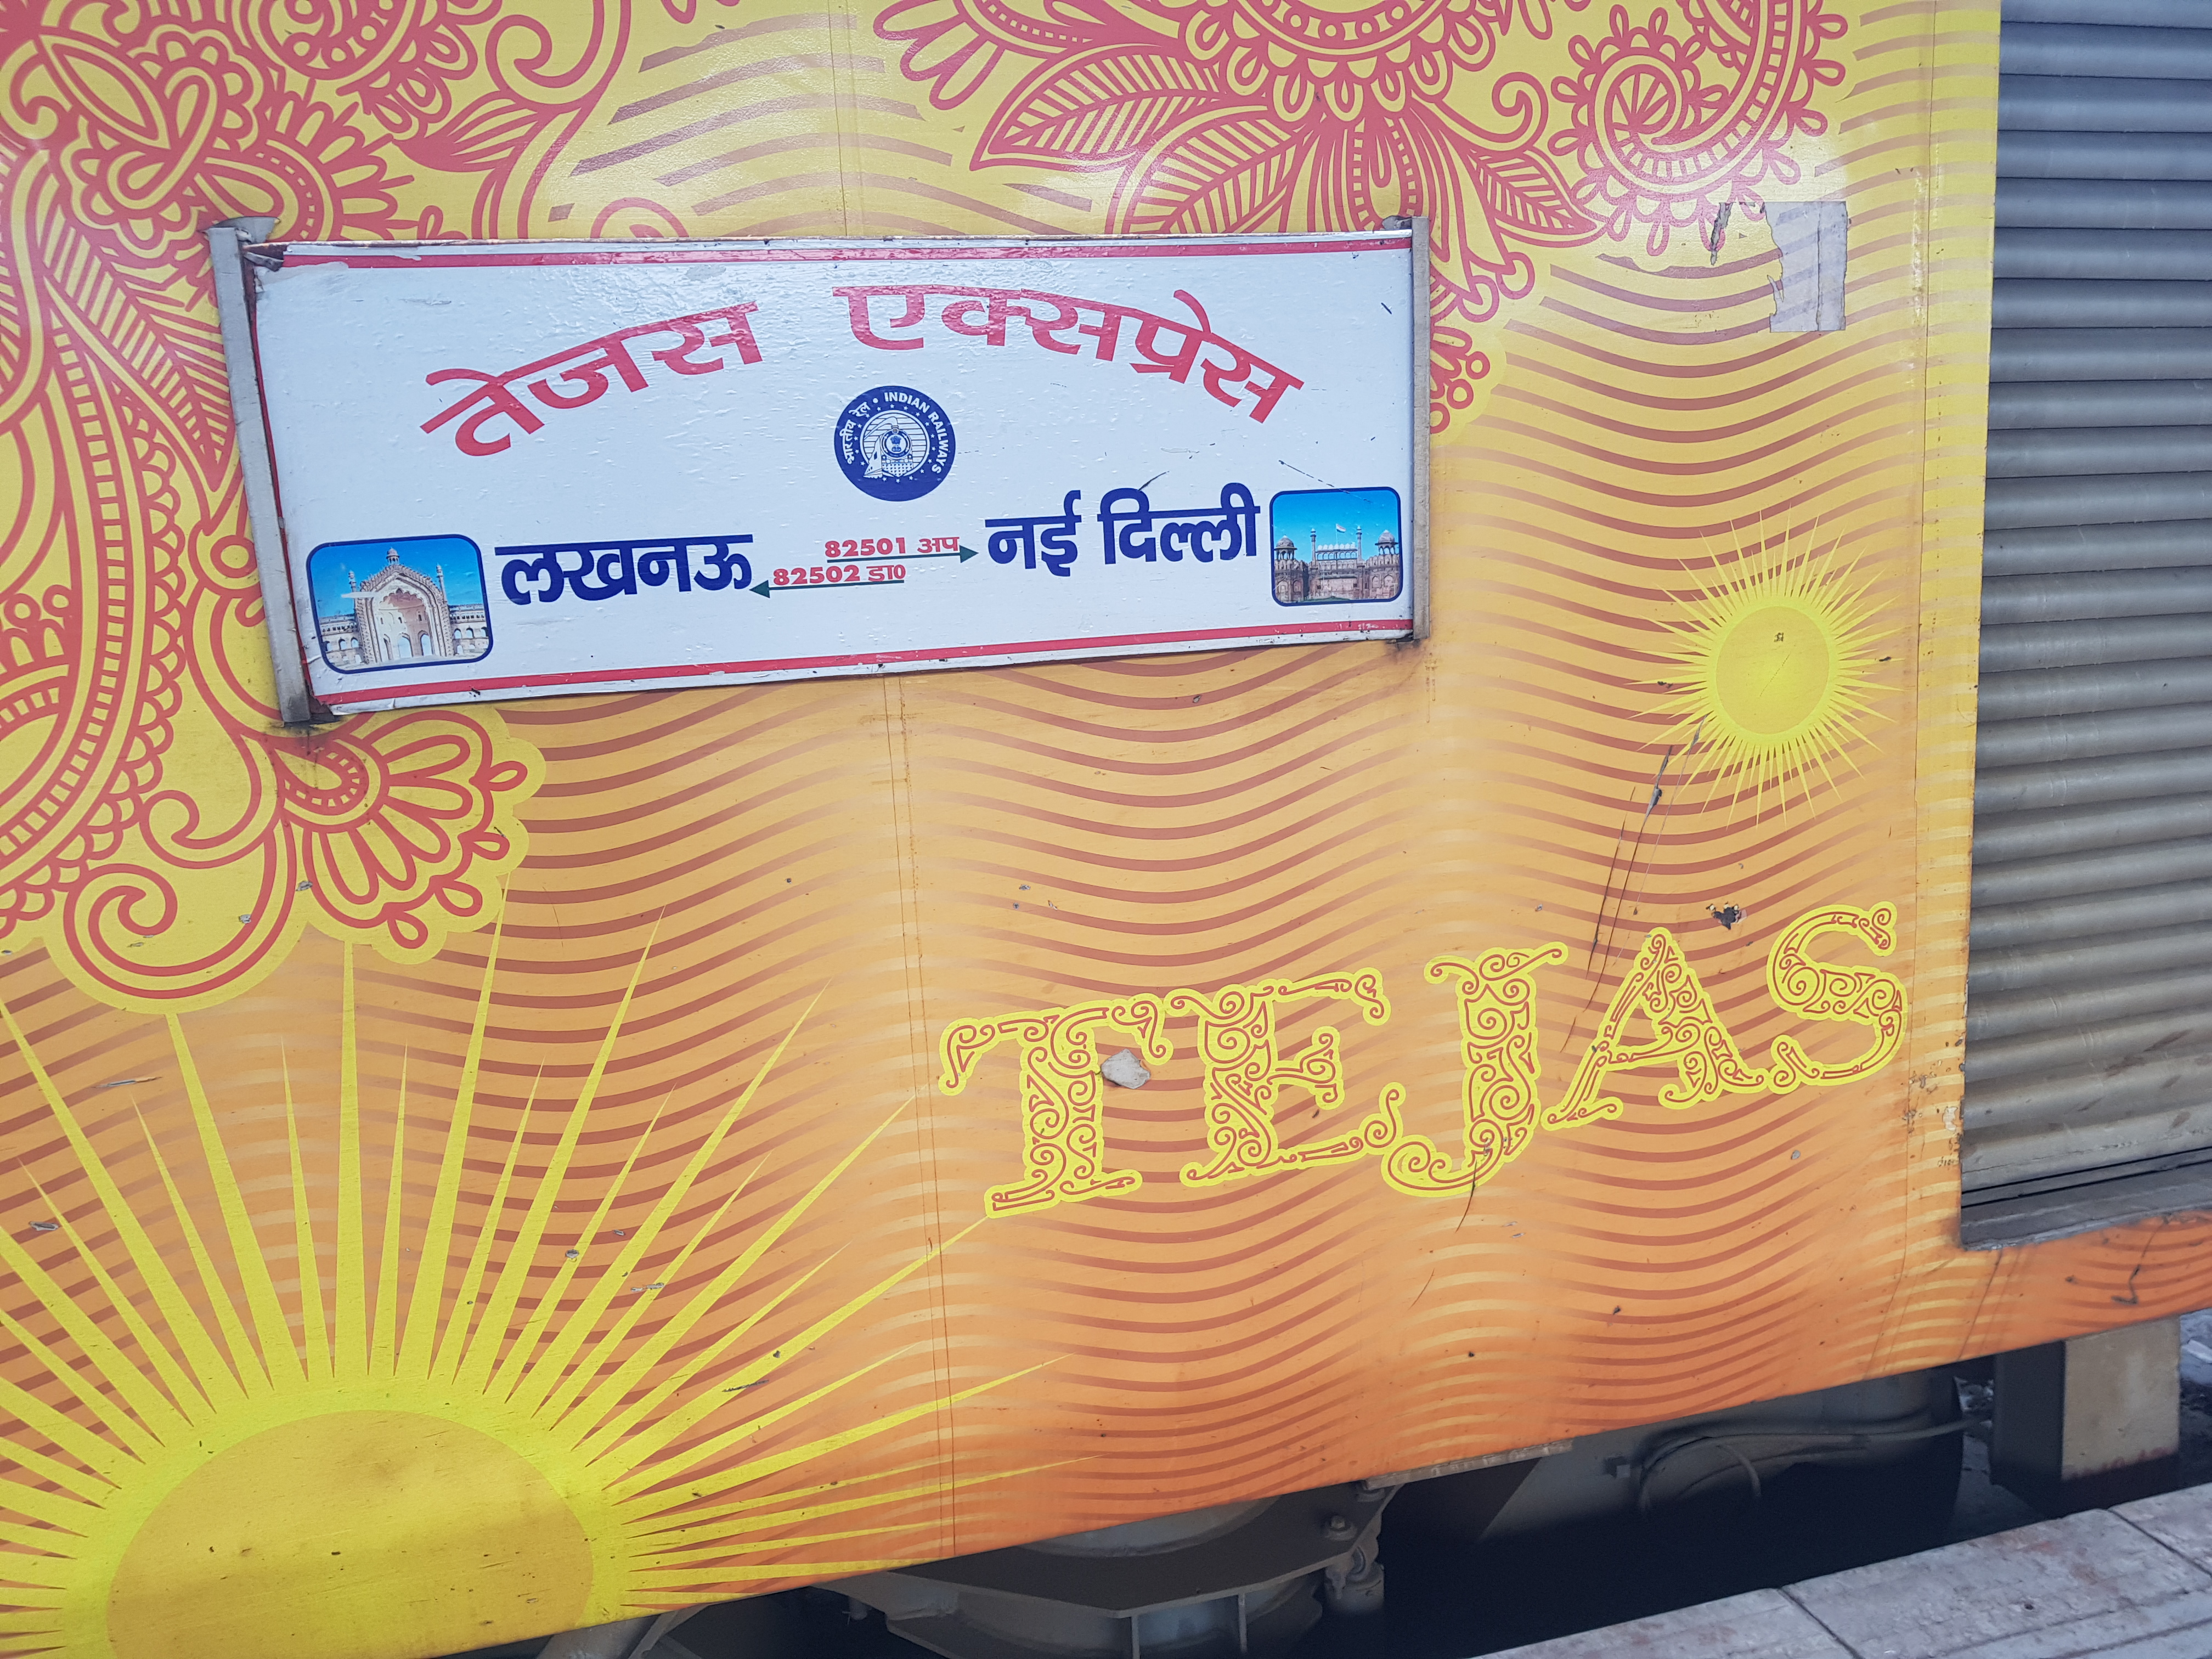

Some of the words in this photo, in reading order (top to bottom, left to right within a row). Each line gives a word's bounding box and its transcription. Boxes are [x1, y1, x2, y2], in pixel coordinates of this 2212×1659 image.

[829, 282, 1307, 427] एक्सप्रेस
[420, 299, 766, 462] तेजस
[846, 397, 871, 421] रेल
[882, 391, 933, 417] INDIAN
[836, 415, 856, 466] भारतीय
[924, 409, 950, 477] RAILWAYS
[494, 533, 757, 611] लखनऊ
[771, 563, 863, 589] 82502
[824, 535, 907, 560] 82501
[865, 562, 907, 583] डा०
[910, 527, 970, 563] अप
[986, 487, 1083, 580] नई
[1086, 473, 1269, 575] दिल्ली